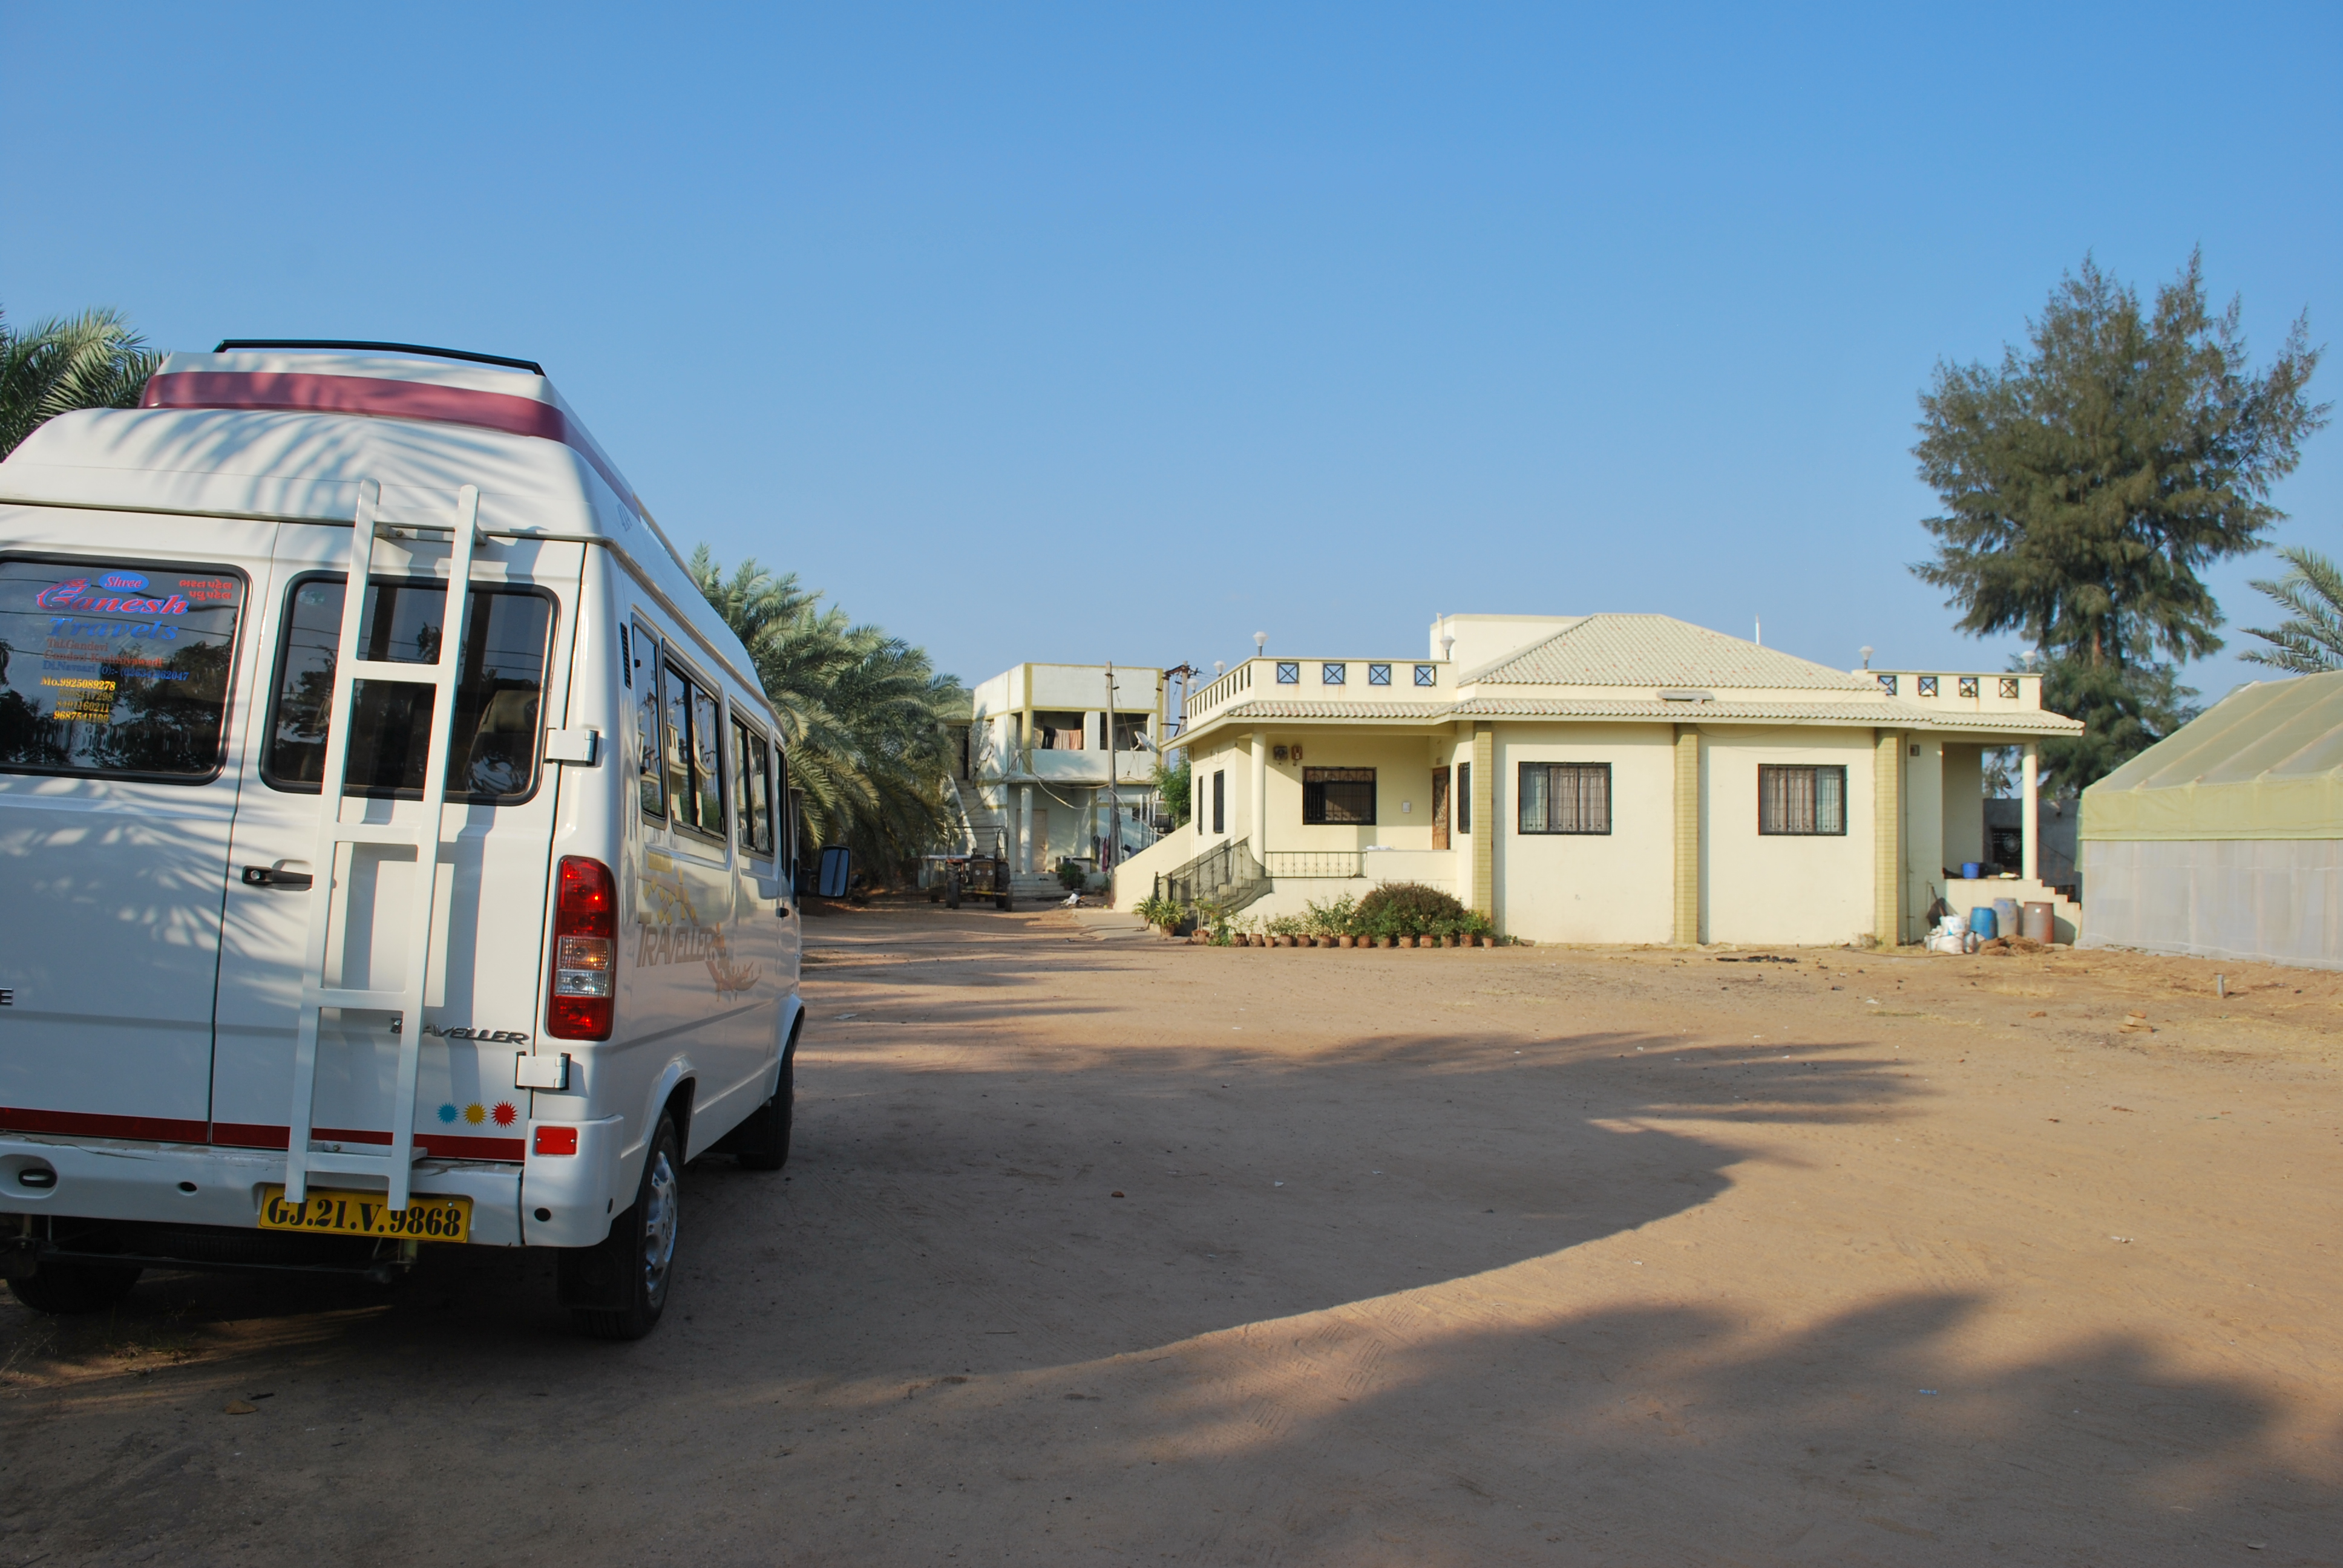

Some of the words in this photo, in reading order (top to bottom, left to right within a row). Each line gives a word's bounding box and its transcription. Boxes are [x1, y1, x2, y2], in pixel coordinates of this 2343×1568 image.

[102, 573, 146, 590] Shree
[176, 580, 206, 589] ભરત
[206, 577, 233, 590] પઢેલ
[32, 576, 191, 616] Ganesh
[188, 590, 206, 601] પવુ
[205, 587, 233, 601] ૫ટેલ
[44, 616, 182, 641] Travels
[38, 675, 60, 688] Mo.
[59, 677, 117, 693] 9925089278
[55, 687, 116, 702] 9808417298
[54, 699, 111, 713] 8401160211
[51, 710, 111, 723] 9687541109
[629, 906, 737, 978] TRAVELLER
[0, 987, 16, 1008] E
[419, 1018, 532, 1050] AVELLER
[261, 1194, 467, 1240] G.J.21.V.9868